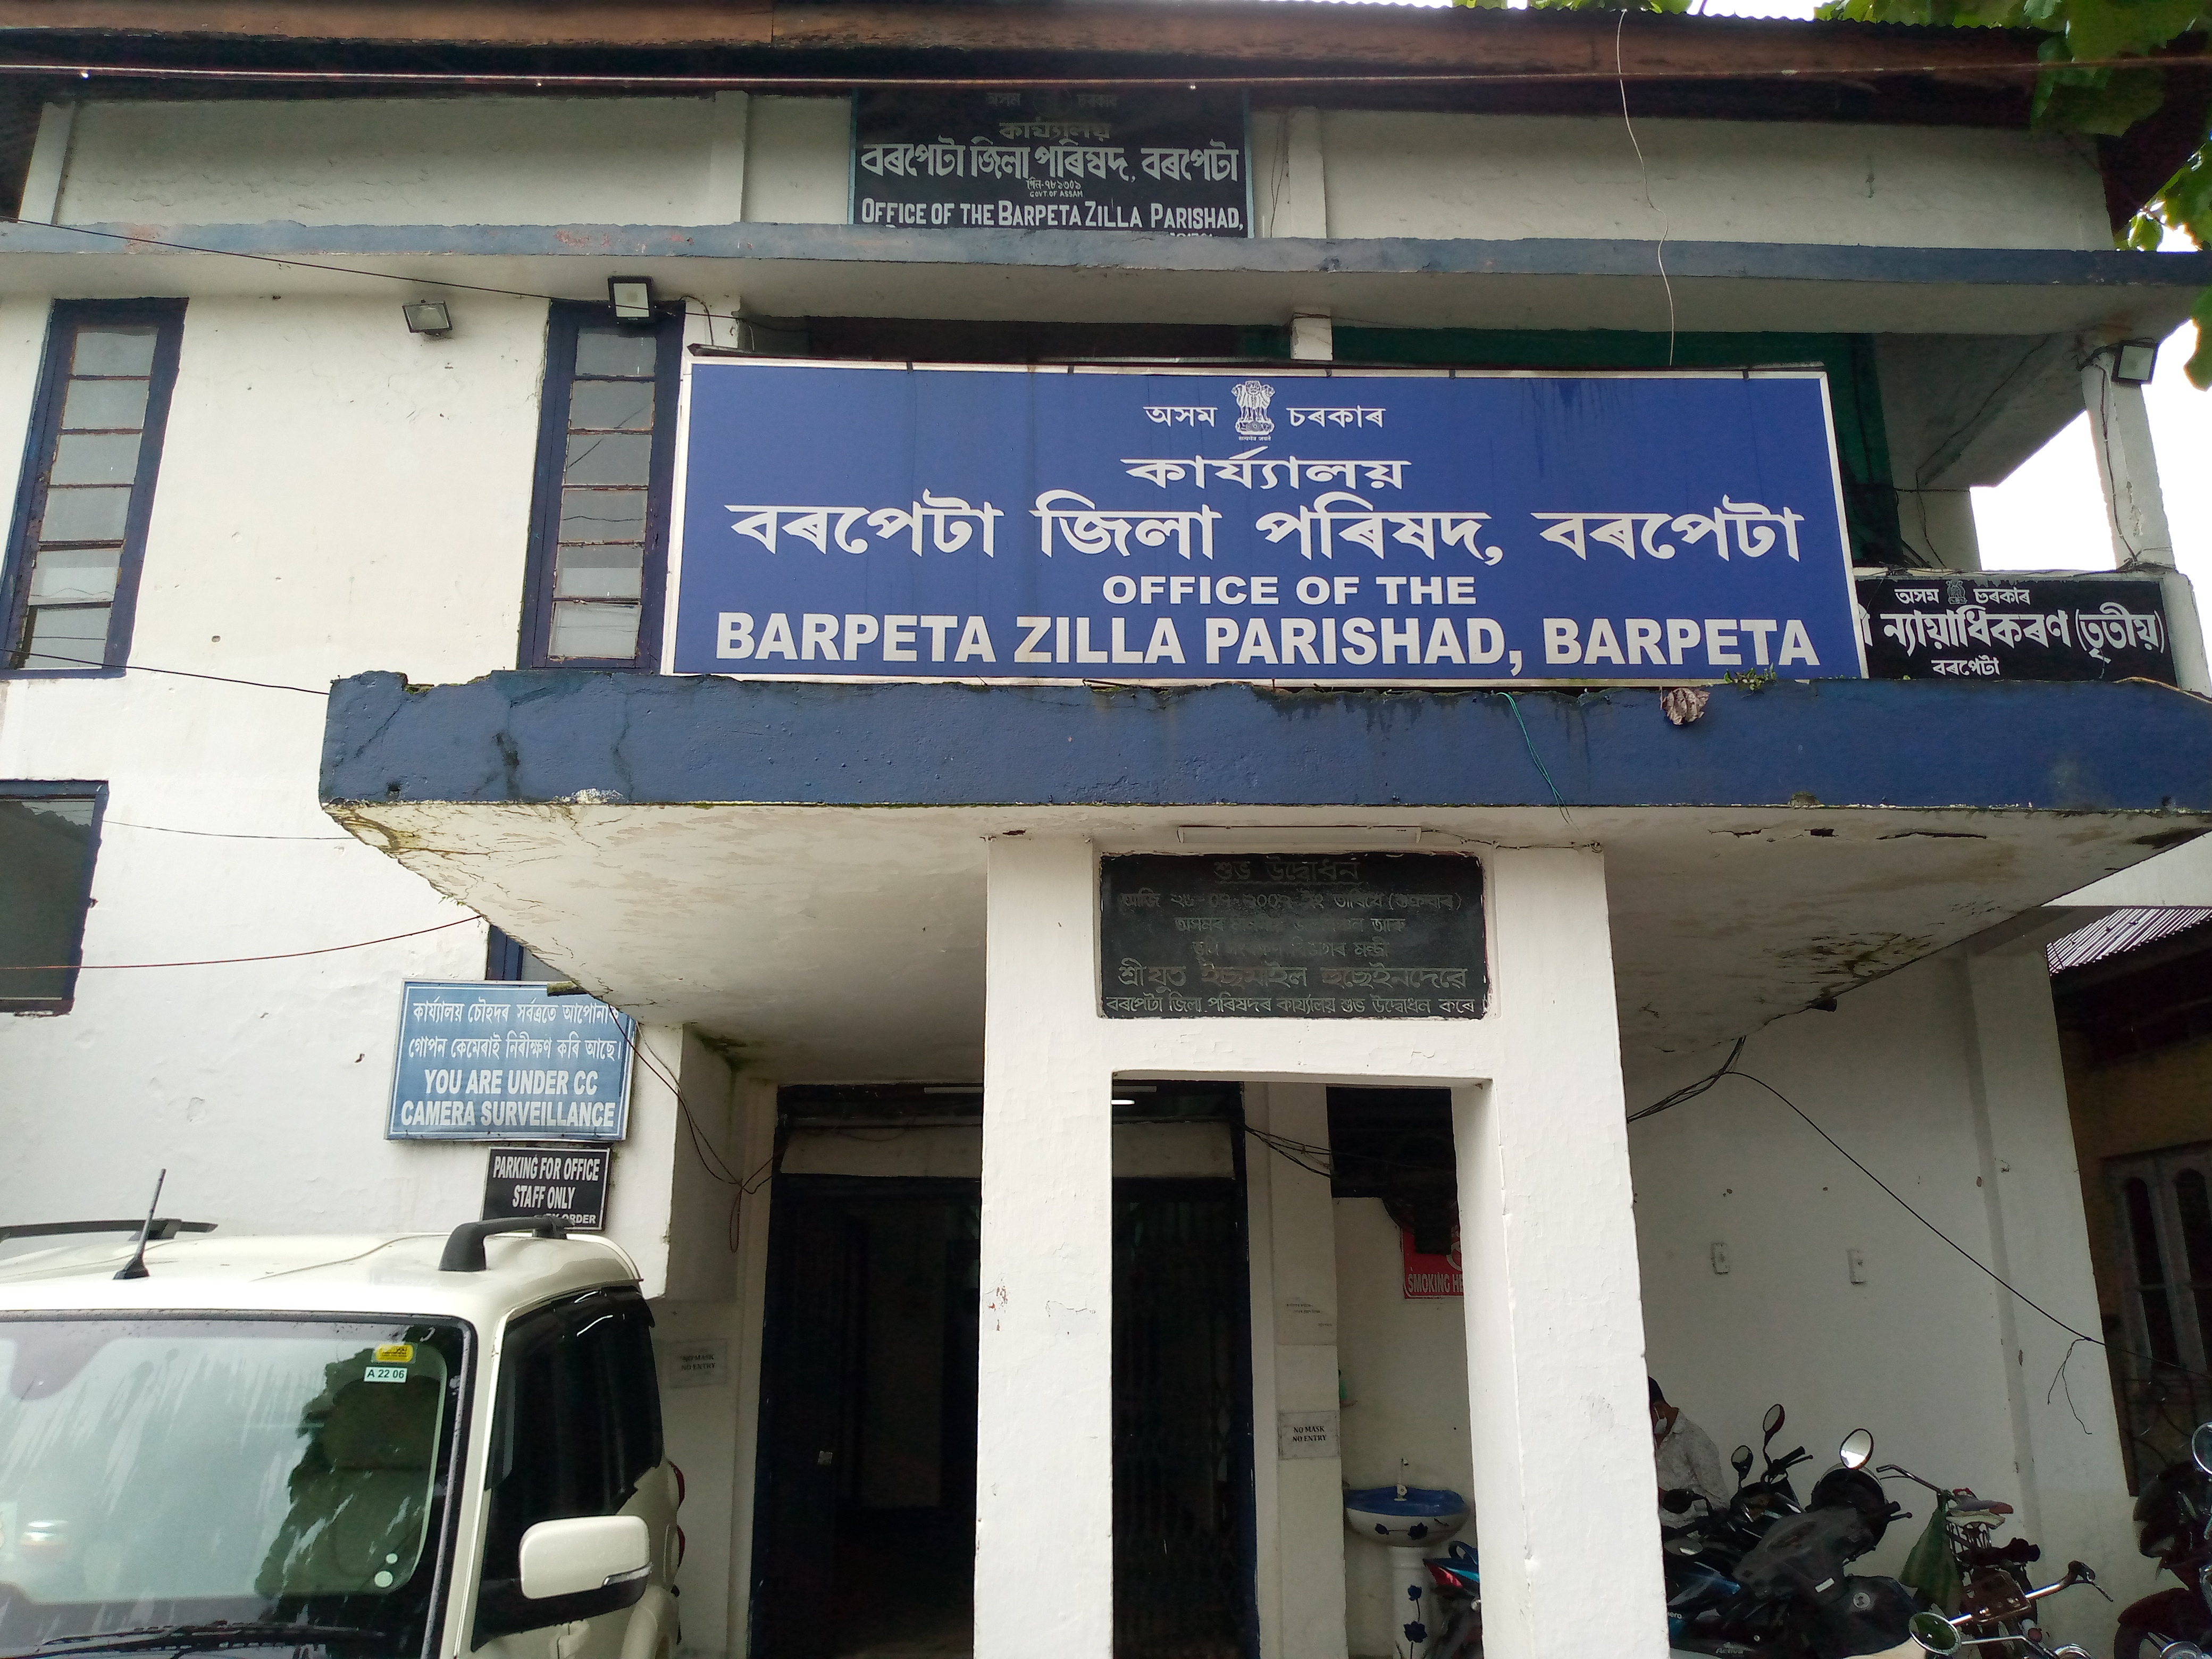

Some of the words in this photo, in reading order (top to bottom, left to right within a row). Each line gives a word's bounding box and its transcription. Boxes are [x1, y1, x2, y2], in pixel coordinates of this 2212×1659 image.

[985, 87, 1023, 110] অসম
[996, 112, 1116, 144] কাৰ্য্যালয়
[857, 132, 970, 178] বৰপেটা
[967, 132, 1034, 183] জিলা
[1032, 135, 1135, 181] পৰিষদ
[1136, 135, 1244, 184] বৰপেটা
[857, 192, 930, 227] OFFICE
[928, 197, 957, 230] OF
[957, 199, 999, 229] THE
[1026, 186, 1052, 203] GOVT
[995, 199, 1083, 229] BARPETA
[1046, 187, 1060, 200] OF
[1042, 177, 1088, 192] ৭৮১৩০৯
[1059, 188, 1086, 200] ASSAM
[1083, 195, 1145, 231] ZILLA
[1146, 199, 1245, 233] PARISHAD,
[1142, 397, 1220, 431] অসম
[1289, 401, 1385, 431] চৰকাৰ
[1238, 431, 1261, 446] सत्यमेव
[1254, 431, 1275, 445] जयते
[1121, 441, 1416, 494] কাৰ্য্যালয়
[722, 485, 1010, 559] বৰপেটা
[1024, 484, 1231, 562] জিলা
[1250, 487, 1507, 569] পৰিষদ,
[1529, 488, 1805, 564] বৰপেটা
[1094, 568, 1284, 608] OFFICE
[1291, 568, 1362, 611] OF
[1374, 571, 1479, 611] THE
[1890, 581, 1943, 607] অসম
[1968, 582, 2035, 609] চৰকাৰ
[711, 609, 999, 665] BARPETA
[1010, 611, 1189, 666] ZILLA
[1199, 612, 1510, 667] PARISHAD
[1538, 615, 1825, 668] BARPETA
[1878, 602, 2073, 660] ন্যায়াধিকৰণ
[2073, 595, 2162, 667] তৃতীয়
[1929, 648, 2005, 681] বৰপেটা
[1209, 853, 1256, 884] শুড
[1259, 850, 1365, 887] উদ্বোধন
[1120, 883, 1166, 910] আজি
[1394, 887, 1462, 914] শুক্রবার)
[1174, 911, 1229, 935] অসমৰ
[1114, 951, 1190, 997] শ্রীযুত
[1197, 955, 1312, 992] ইছমাইল
[1318, 958, 1473, 992] হুছেইনদেৱে
[409, 994, 466, 1026] কাৰ্য্যালয়
[466, 992, 514, 1027] চৌহদৰ
[515, 995, 564, 1026] সর্বত্রতে
[561, 1001, 624, 1026] আপোনাক
[1104, 989, 1167, 1014] বৰপেটা
[1164, 981, 1206, 1015] জিলা
[1205, 987, 1275, 1015] পৰিষদৰ
[1275, 990, 1338, 1016] কাৰ্য্যালয়
[1338, 994, 1370, 1016] শুভ
[1366, 987, 1436, 1018] উদ্বোধন
[1436, 996, 1480, 1018] কৰে
[406, 1033, 449, 1060] গোপন
[448, 1029, 505, 1061] কেমেৰাই
[501, 1027, 557, 1061] নিৰীক্ষণ
[552, 1026, 583, 1061] কৰি
[584, 1037, 622, 1062] আছে
[423, 1065, 464, 1096] YOU
[462, 1063, 508, 1099] ARE
[507, 1068, 575, 1099] UNDER
[571, 1065, 605, 1099] CC
[398, 1096, 478, 1129] CAMERA
[478, 1097, 618, 1128] SURVEILLANCE
[492, 1152, 542, 1183] PARKING
[537, 1150, 564, 1182] FOR
[560, 1154, 604, 1184] OFFICE
[510, 1182, 548, 1211] STAFF
[544, 1181, 579, 1211] ONLY
[1404, 1269, 1455, 1297] SMOKING
[366, 1363, 410, 1380] A2206
[1289, 1431, 1306, 1446] NO
[1293, 1422, 1308, 1438] 801
[1303, 1421, 1327, 1435] MASK
[1301, 1429, 1330, 1445] ENTRY